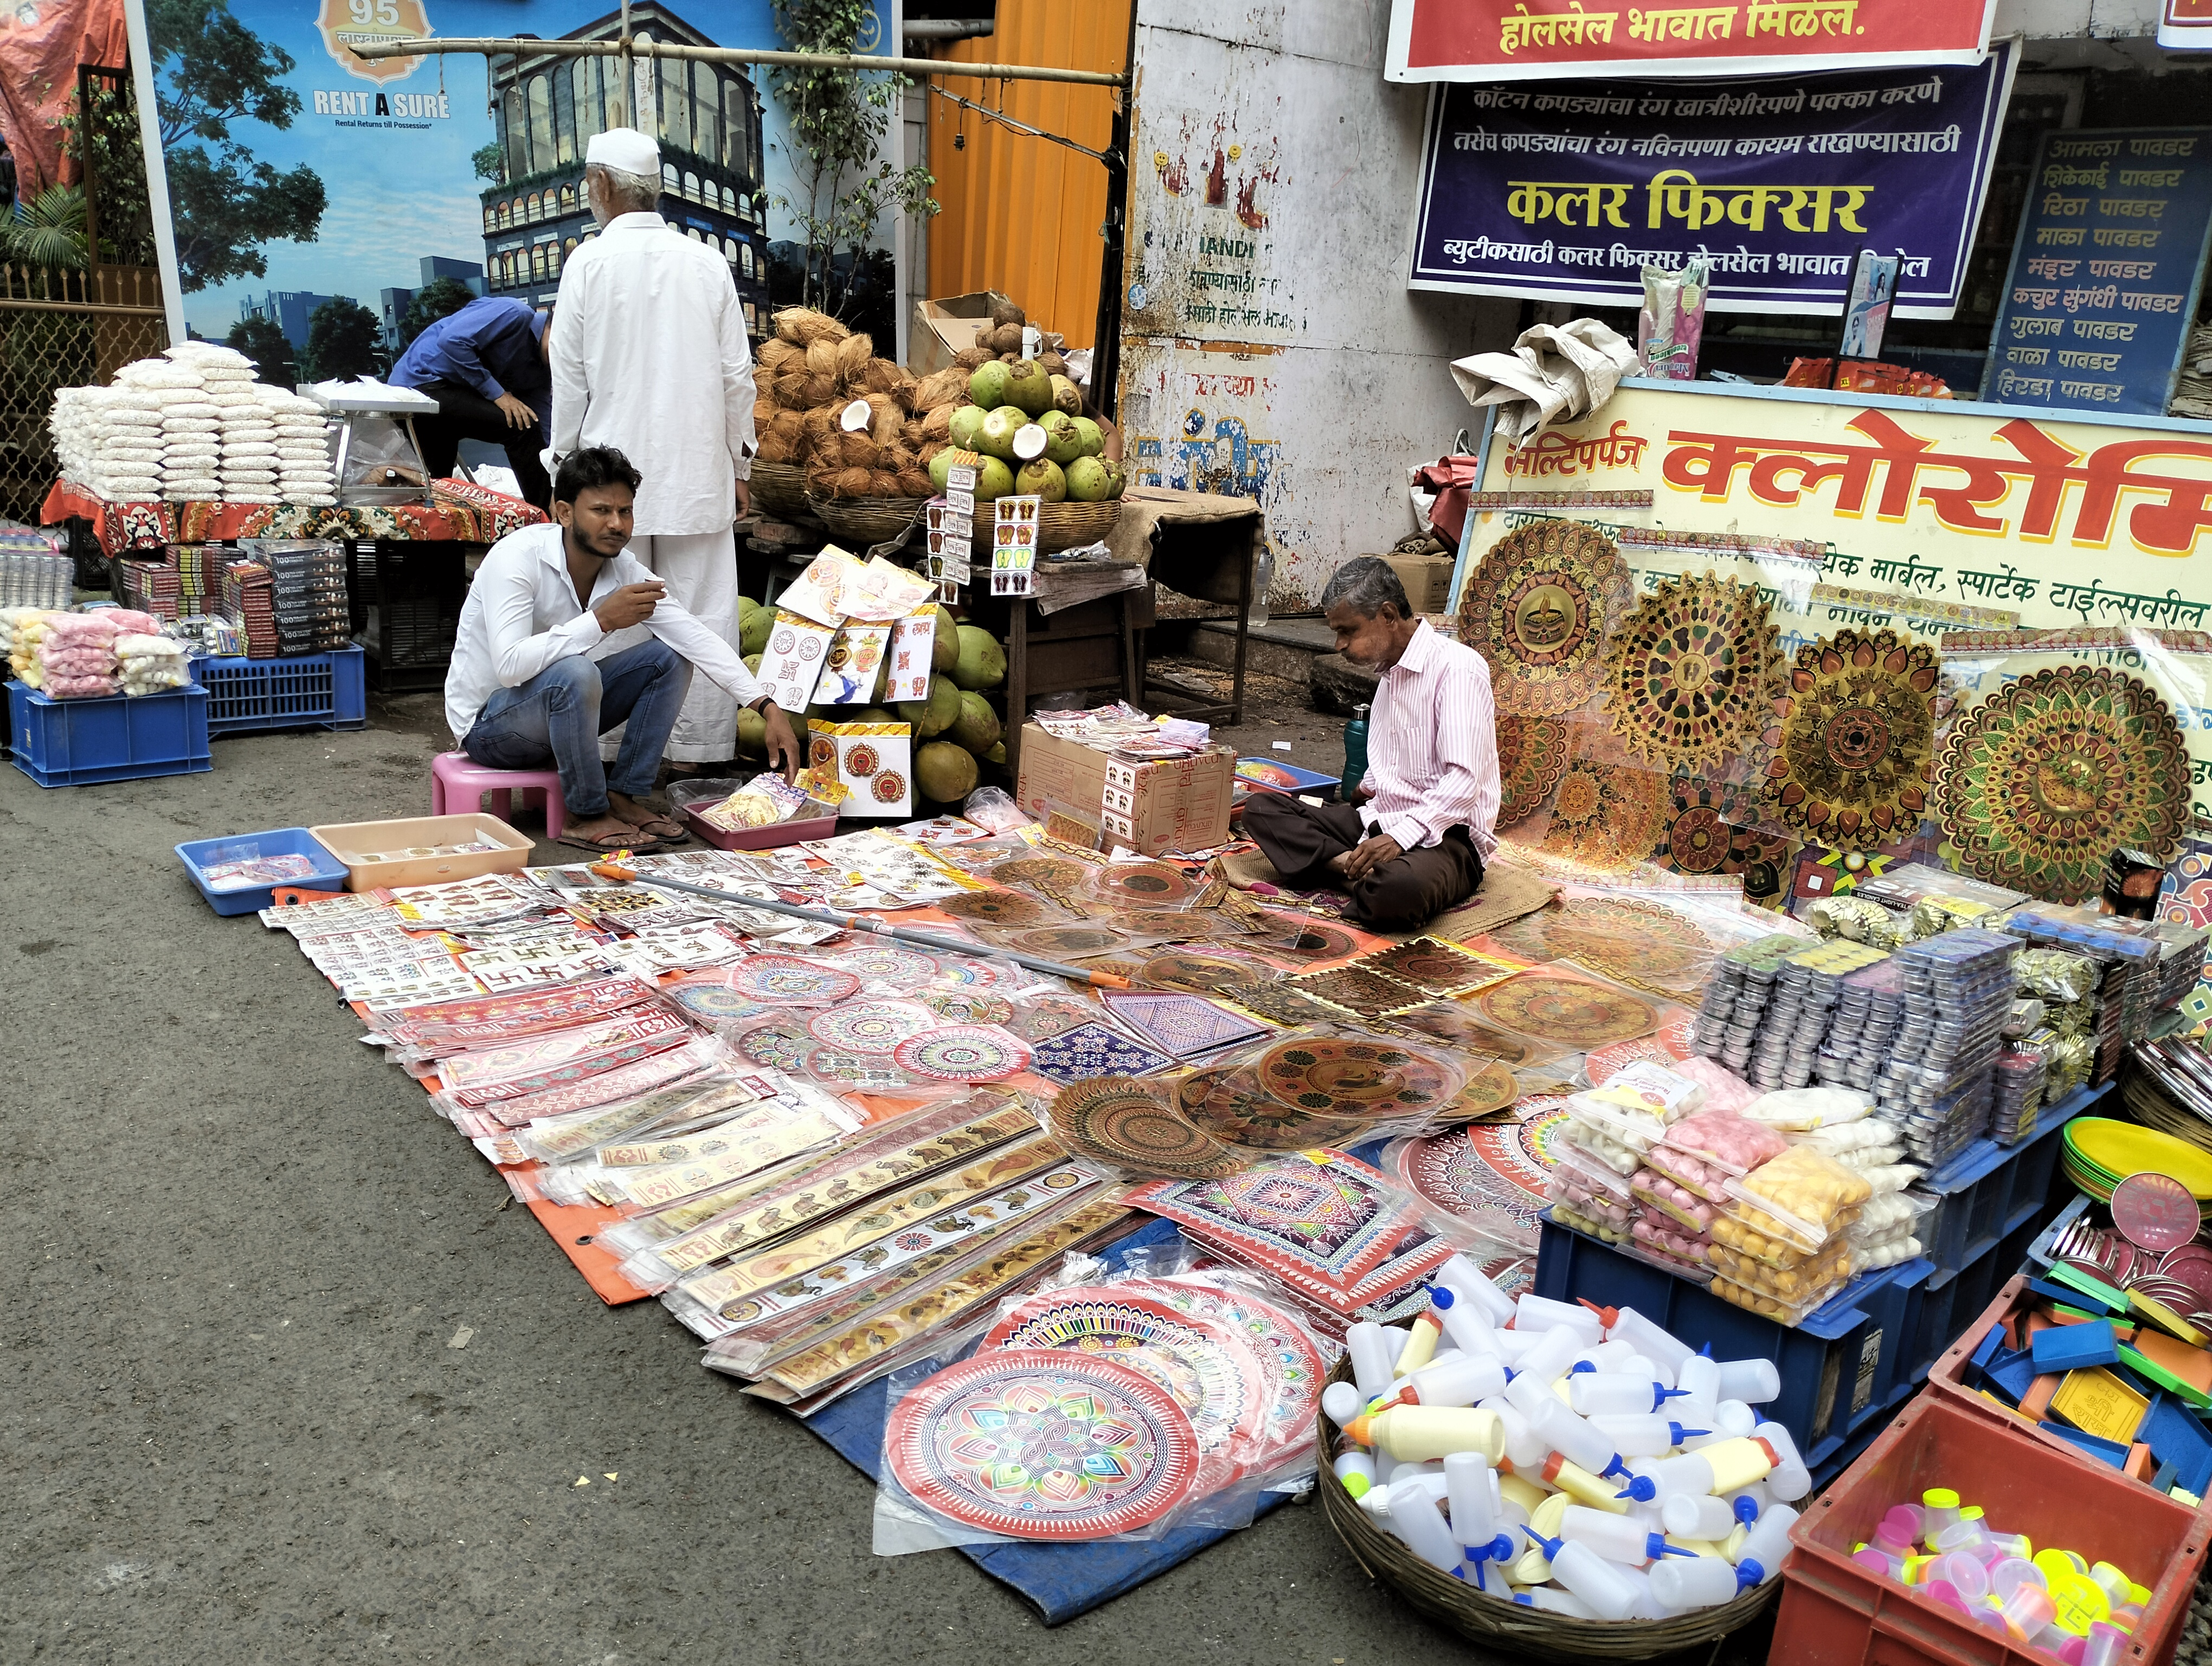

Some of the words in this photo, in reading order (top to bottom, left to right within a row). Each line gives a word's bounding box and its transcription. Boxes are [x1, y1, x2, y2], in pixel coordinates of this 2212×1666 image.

[343, 0, 404, 28] 95
[1492, 0, 1623, 60] होलसेल
[1622, 2, 1742, 48] भावात
[1741, 0, 1876, 42] मिळल.
[311, 87, 373, 118] RENT
[372, 88, 393, 118] A
[389, 89, 456, 121] SURE
[1466, 81, 1534, 118] कॉटन
[1529, 86, 1642, 122] कपड्यांचा
[1633, 88, 1673, 123] रंग
[1670, 86, 1808, 124] खात्रीशीरपणे
[1806, 84, 1881, 120] पक्का
[1876, 71, 1949, 113] करणे
[333, 117, 357, 130] Rental
[356, 118, 383, 130] Returns
[382, 118, 394, 130] till
[393, 119, 434, 130] Possession
[1448, 121, 1499, 157] तसेच
[1499, 123, 1596, 159] कपड्यांचा
[1590, 126, 1632, 163] रंग
[1628, 130, 1734, 163] नविनपणा
[1731, 133, 1807, 163] कायम
[1802, 121, 1965, 158] राखण्यासाठी
[2047, 135, 2126, 161] आमला
[2127, 135, 2202, 160] पावडर
[2039, 158, 2114, 193] शिकेकाई
[2116, 166, 2188, 193] पावडर
[1500, 171, 1641, 235] कलर
[1642, 164, 1879, 241] फिक्सर
[2036, 189, 2097, 220] रिठा
[2095, 191, 2173, 220] पावडर
[1436, 228, 1557, 273] ब्युटीकसाठी
[1555, 242, 1607, 272] कलर
[1606, 241, 1685, 273] फिक्सर
[1773, 245, 1854, 279] भावात
[2021, 251, 2085, 284] मंडूर
[2034, 224, 2090, 251] माका
[2084, 255, 2159, 285] पावडर
[2090, 226, 2165, 252] पावडर
[2011, 280, 2063, 314] कचुर
[2059, 281, 2120, 315] सुगंधी
[2117, 289, 2187, 319] पावडर
[2006, 313, 2068, 342] गुलाब
[2069, 315, 2140, 345] पावडर
[2003, 343, 2053, 366] वाळा
[2055, 347, 2124, 374] पावडर
[1994, 366, 2056, 404] हिरडा
[2055, 377, 2129, 407] पावडर
[1502, 416, 1655, 484] मल्टिपर्पज
[1658, 405, 2088, 557] क्लोरो
[1864, 548, 1950, 603] मार्बल,
[1954, 558, 2045, 610] स्पार्टेक
[2044, 575, 2209, 631] टाईल्सवरील